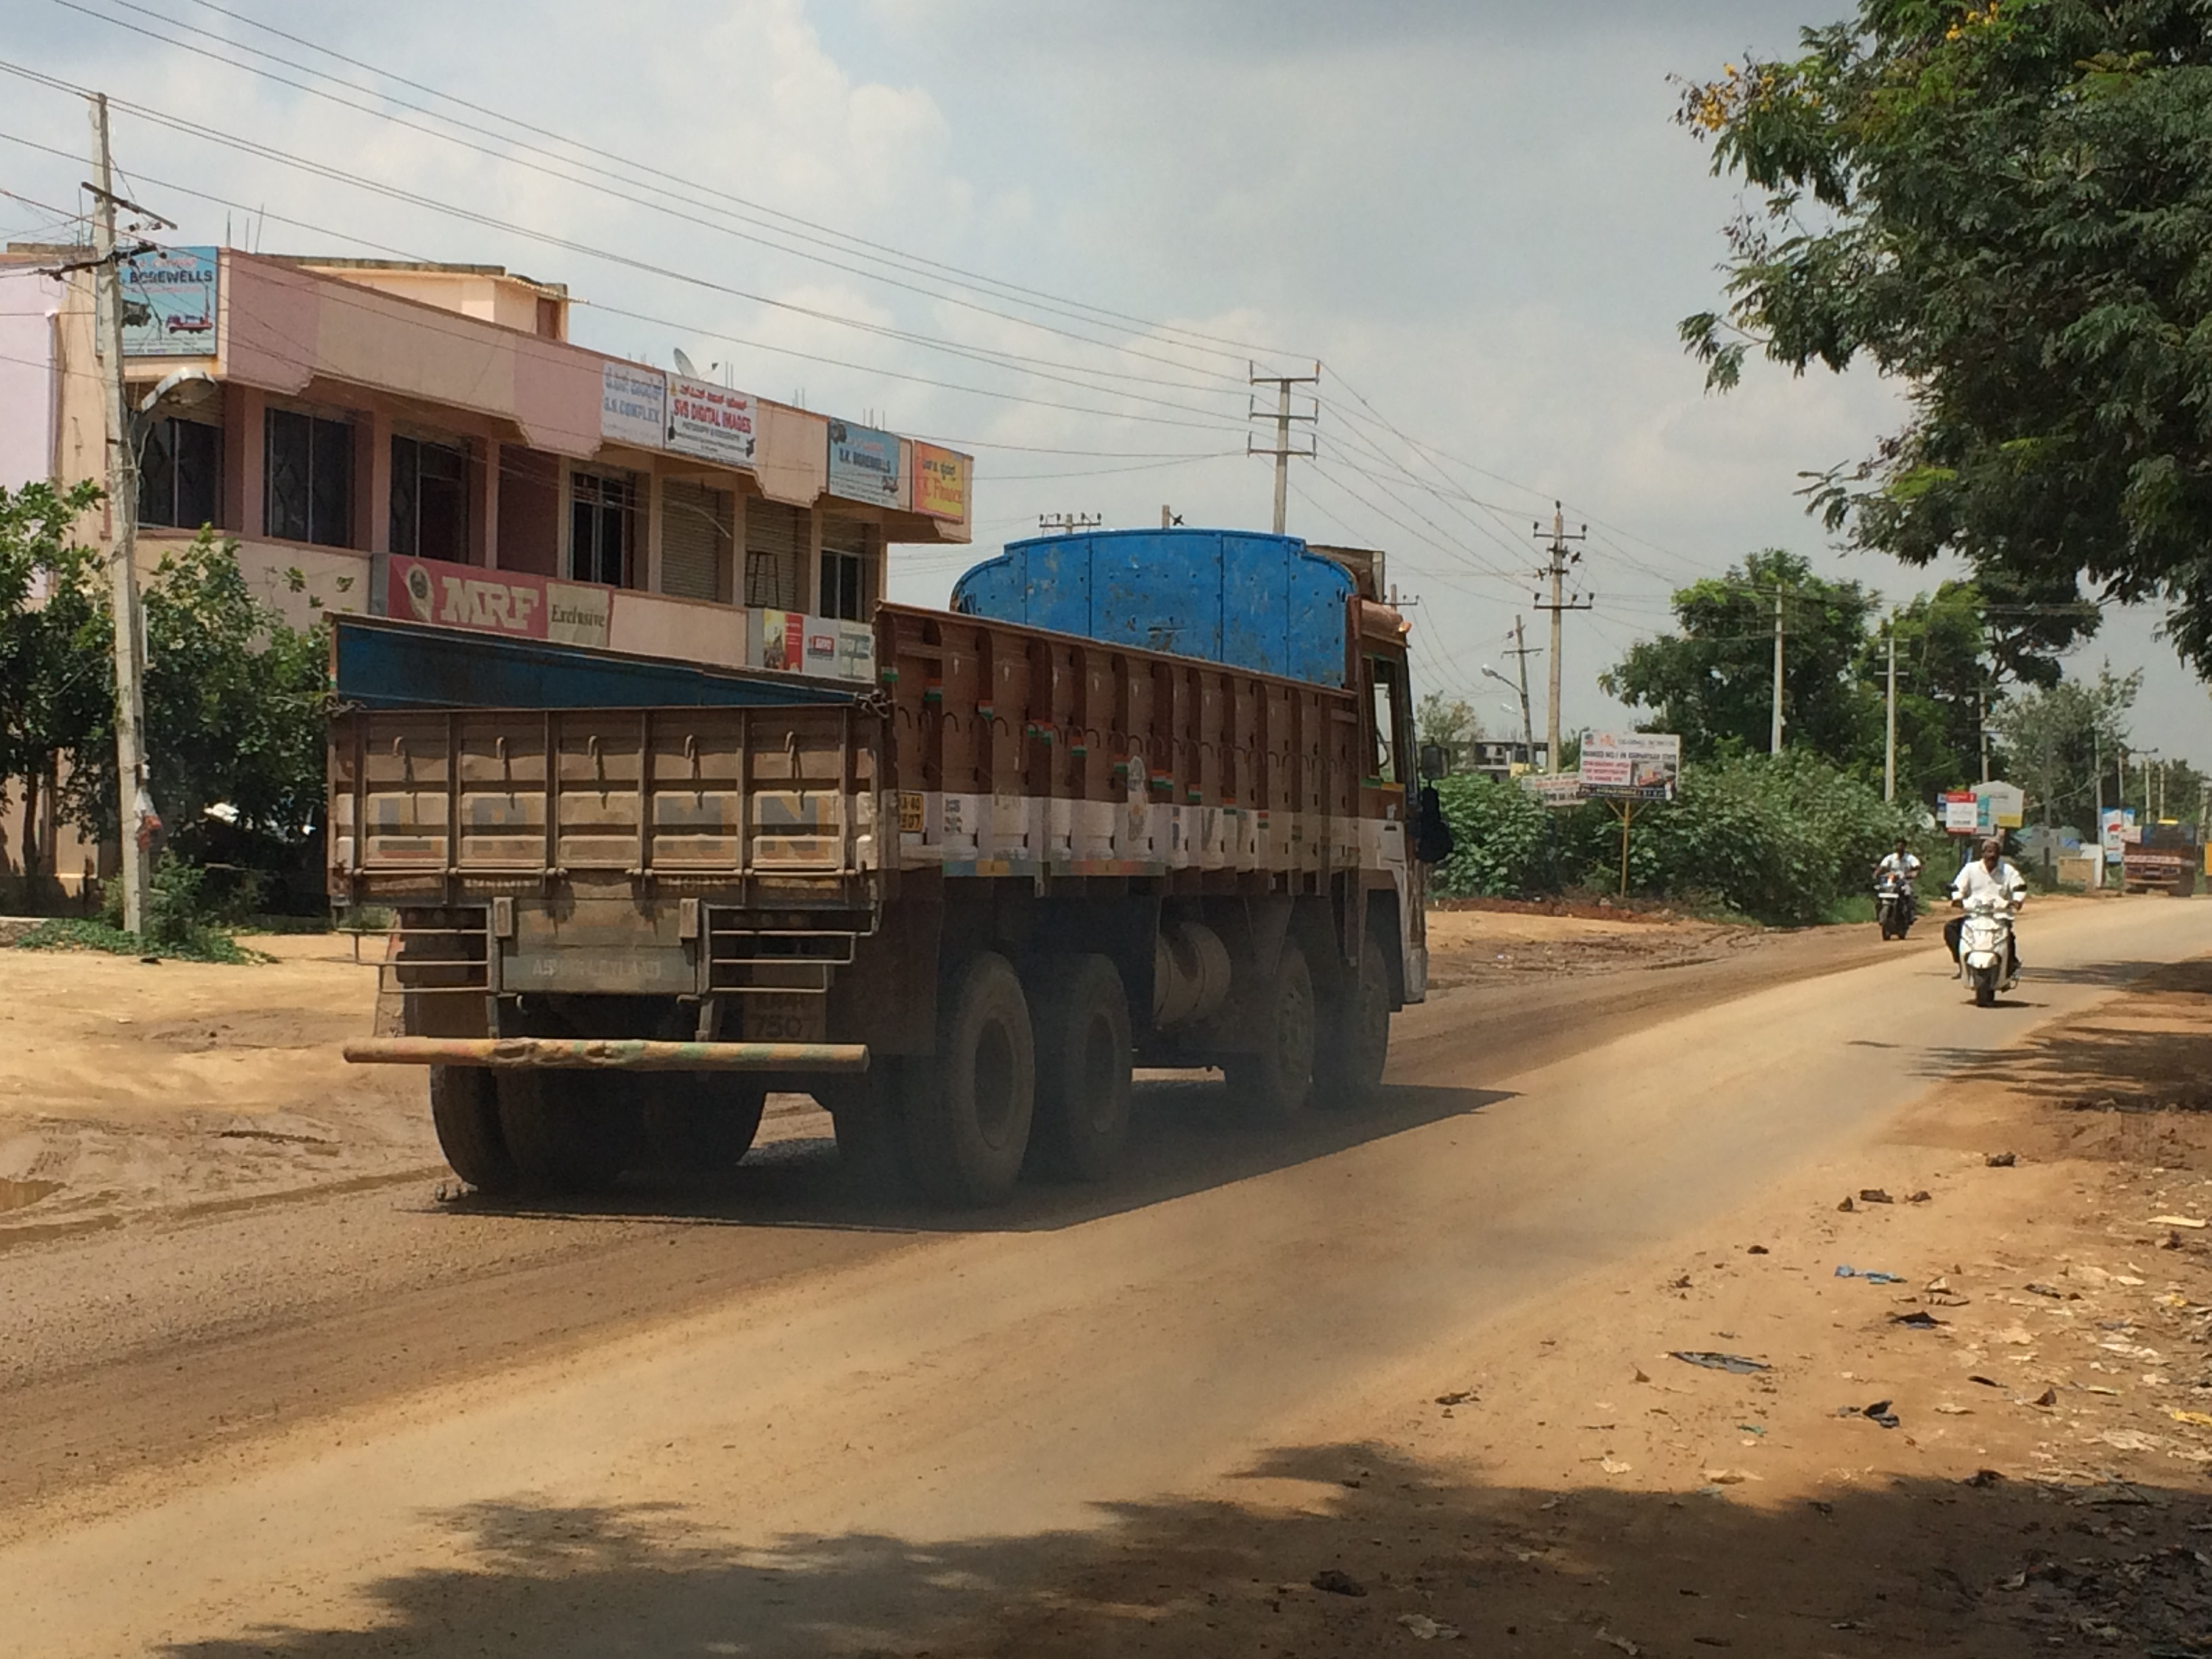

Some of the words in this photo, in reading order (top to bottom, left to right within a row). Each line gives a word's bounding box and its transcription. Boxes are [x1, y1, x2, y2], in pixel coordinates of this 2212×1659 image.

[125, 264, 216, 287] BOREWELLS
[597, 394, 663, 428] A.N.COMPLEX
[668, 394, 693, 425] SrS
[687, 399, 722, 432] DIGITAL
[717, 405, 756, 440] IMAGES
[836, 445, 896, 478] J.K.BOREWELLS
[930, 476, 967, 512] France
[434, 573, 545, 633] MRF
[548, 596, 608, 630] Exclusive